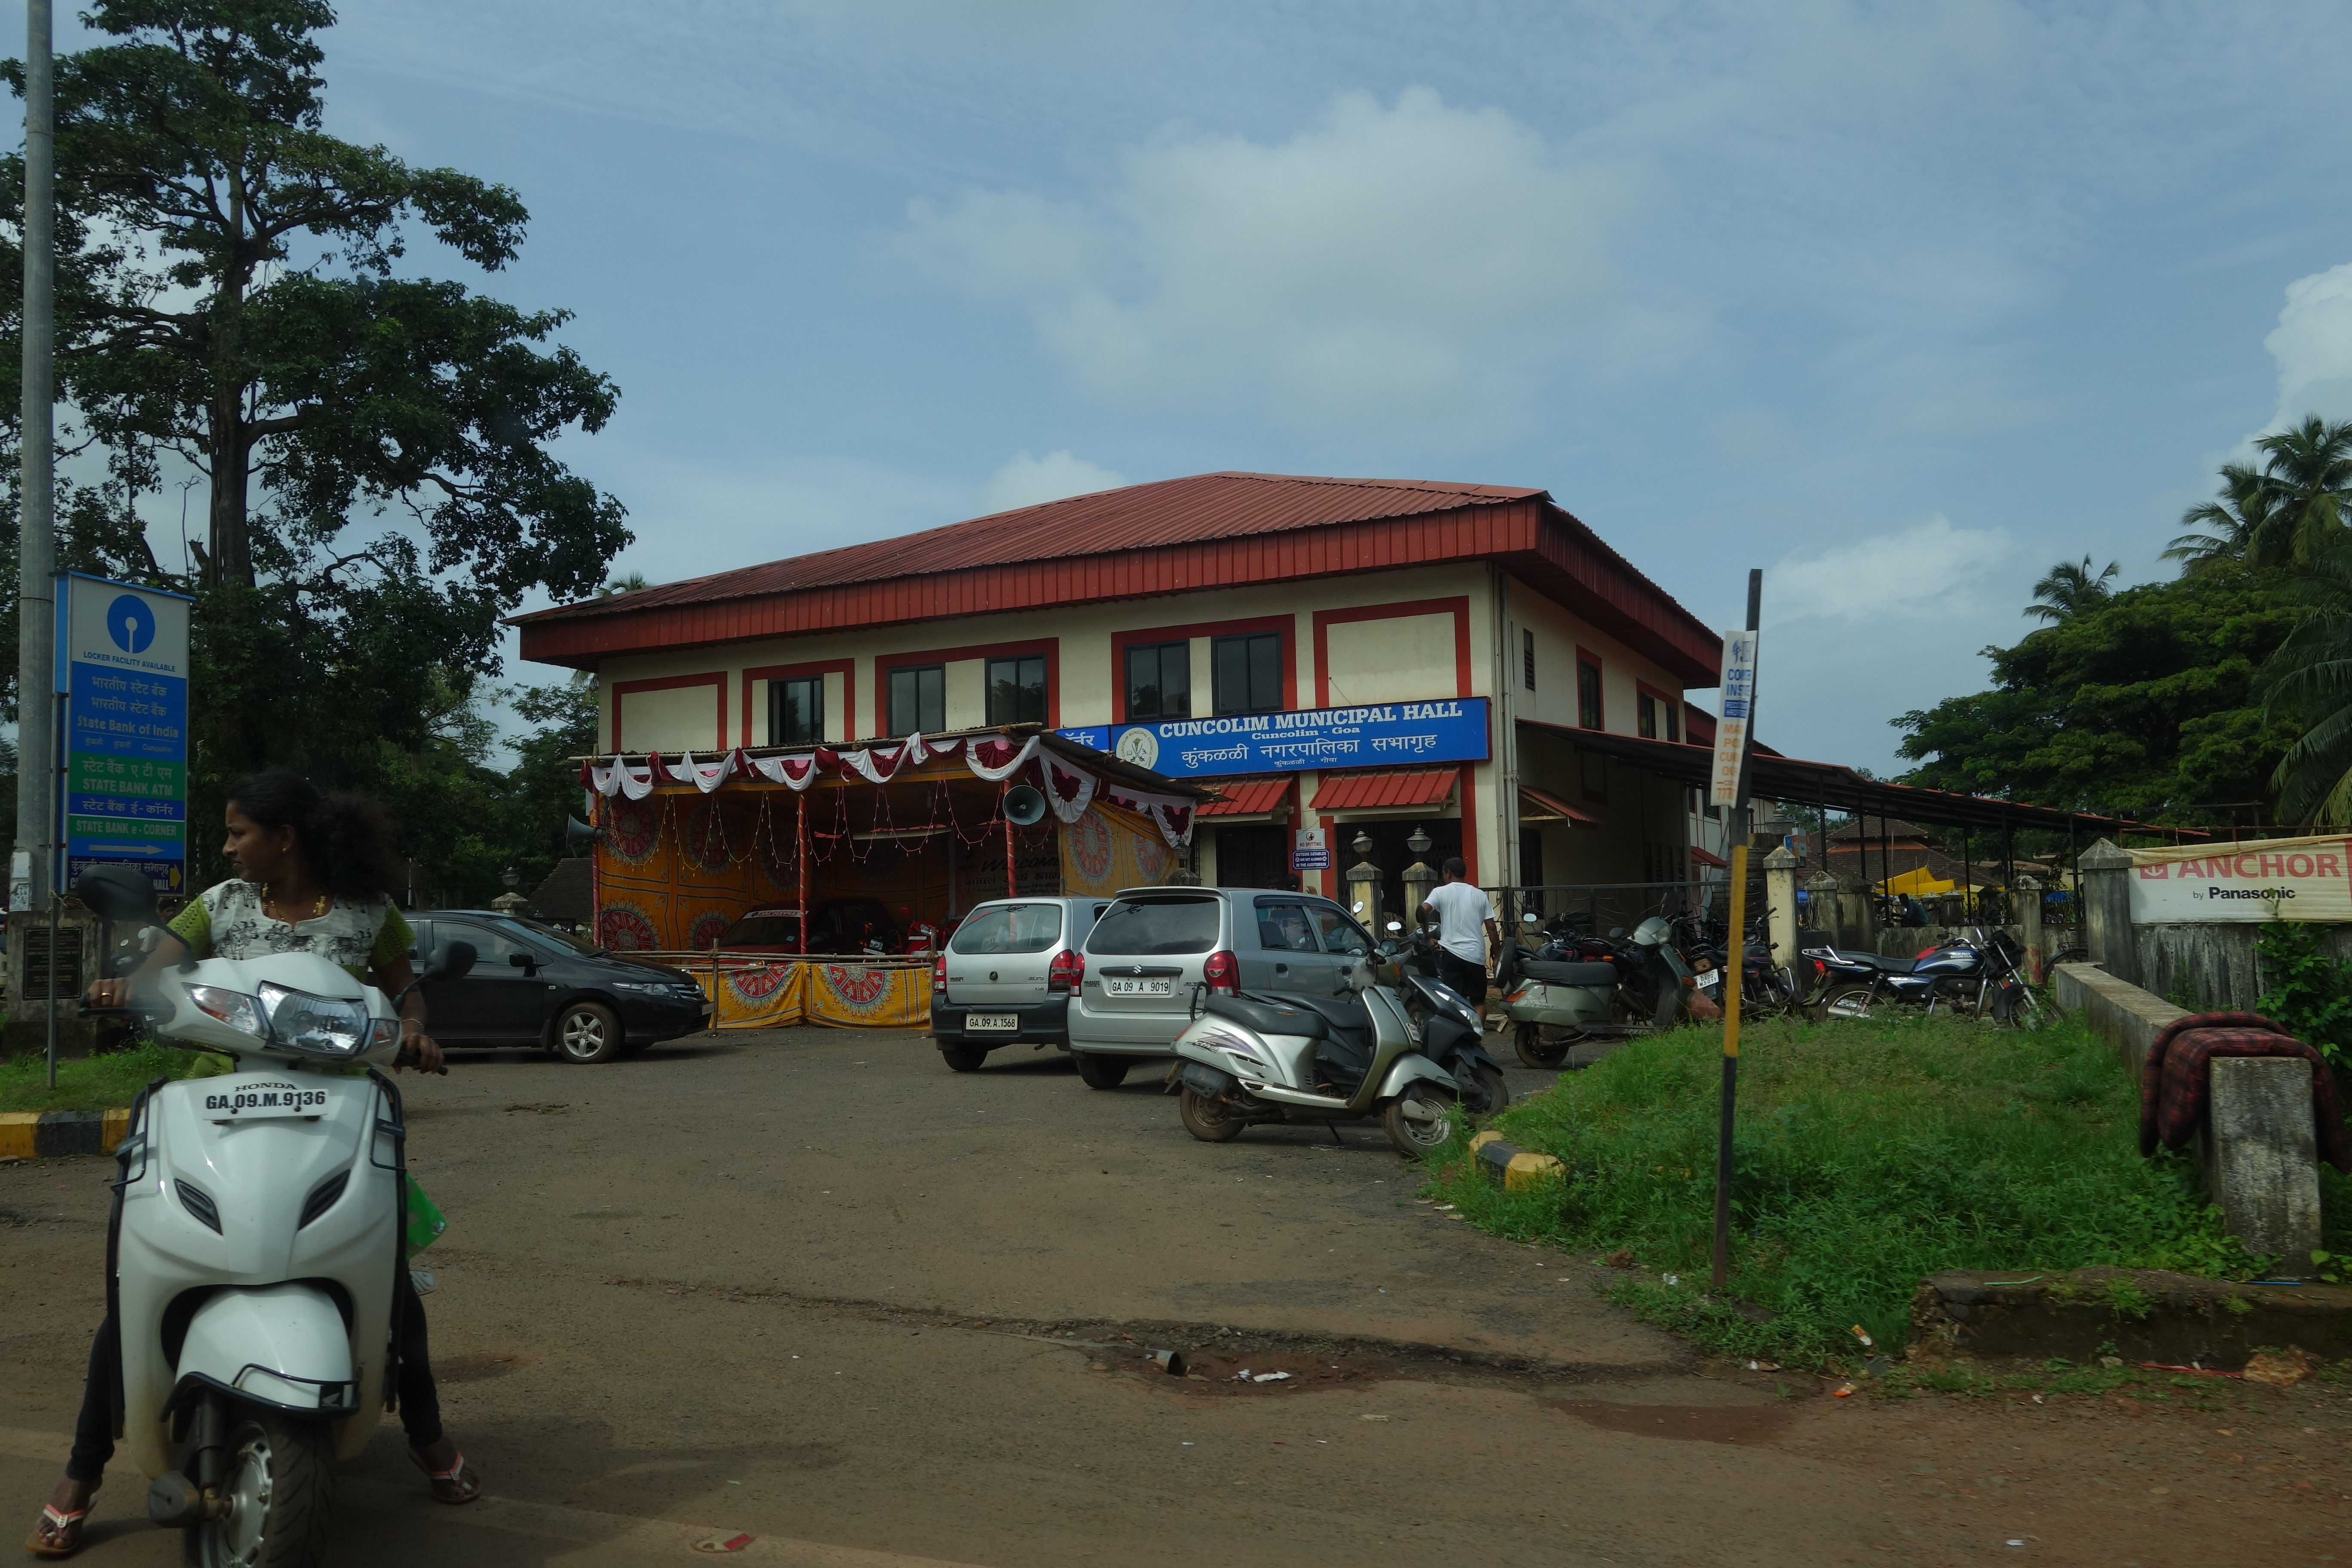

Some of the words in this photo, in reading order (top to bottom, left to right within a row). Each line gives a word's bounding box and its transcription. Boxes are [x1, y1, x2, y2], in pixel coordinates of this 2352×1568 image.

[81, 649, 111, 662] LOCKER
[89, 672, 129, 695] भारतीय
[110, 653, 142, 668] FACILITY
[129, 677, 150, 697] स्टेट
[140, 659, 178, 674] AVAILABLE
[150, 679, 170, 699] बँक
[1724, 681, 1738, 698] IN
[1727, 667, 1742, 682] CO
[73, 713, 108, 732] State
[79, 753, 107, 776] स्‍टेट
[88, 692, 129, 715] भारतीय
[105, 756, 128, 778] बैंक
[107, 717, 138, 736] Bank
[128, 760, 141, 781] ए
[127, 697, 150, 719] स्‍टेट
[136, 721, 153, 737] of
[141, 759, 156, 781] टी
[149, 699, 171, 720] बैंक
[151, 723, 181, 740] India
[156, 761, 176, 782] एम
[1157, 714, 1273, 741] CUNCOLIM
[1176, 741, 1254, 770] कुंकळळी
[1249, 728, 1322, 743] Cuncolim
[1270, 756, 1307, 769] कुंकळळी
[1255, 736, 1363, 760] नगरपालिका
[1318, 755, 1339, 766] गोवा
[1273, 704, 1400, 730] MUNICIPAL
[1330, 724, 1365, 736] Goa
[1368, 730, 1440, 756] सभागृह
[1399, 698, 1467, 723] HALL
[1718, 750, 1734, 763] CU
[1721, 736, 1733, 750] P
[1721, 764, 1739, 778] OF
[79, 775, 117, 794] STATE
[117, 778, 150, 796] BANK
[150, 781, 176, 799] ATM
[1715, 786, 1734, 802] 777
[80, 796, 106, 815] स्टेट
[106, 797, 129, 815] बैंक
[128, 799, 177, 819] ई-कॉर्नर
[74, 817, 104, 834] STATE
[104, 818, 131, 836] BANK
[129, 821, 180, 838] e-CORNER
[1298, 841, 1305, 848] NO
[1305, 840, 1323, 848] SPITTING
[142, 860, 171, 879] सभागृह
[2174, 850, 2346, 884] ANCHOR
[2188, 888, 2206, 904] by
[2205, 885, 2299, 903] Panasonic
[1110, 979, 1123, 994] GA
[1123, 981, 1134, 995] 09
[1136, 980, 1146, 993] A
[1148, 980, 1169, 994] 9019
[1699, 972, 1715, 982] GAD2
[1697, 977, 1718, 988] M5011
[966, 1016, 1018, 1031] GA.09.A.1568
[231, 1081, 300, 1093] HONDA
[203, 1089, 329, 1112] GA.09.M.9136